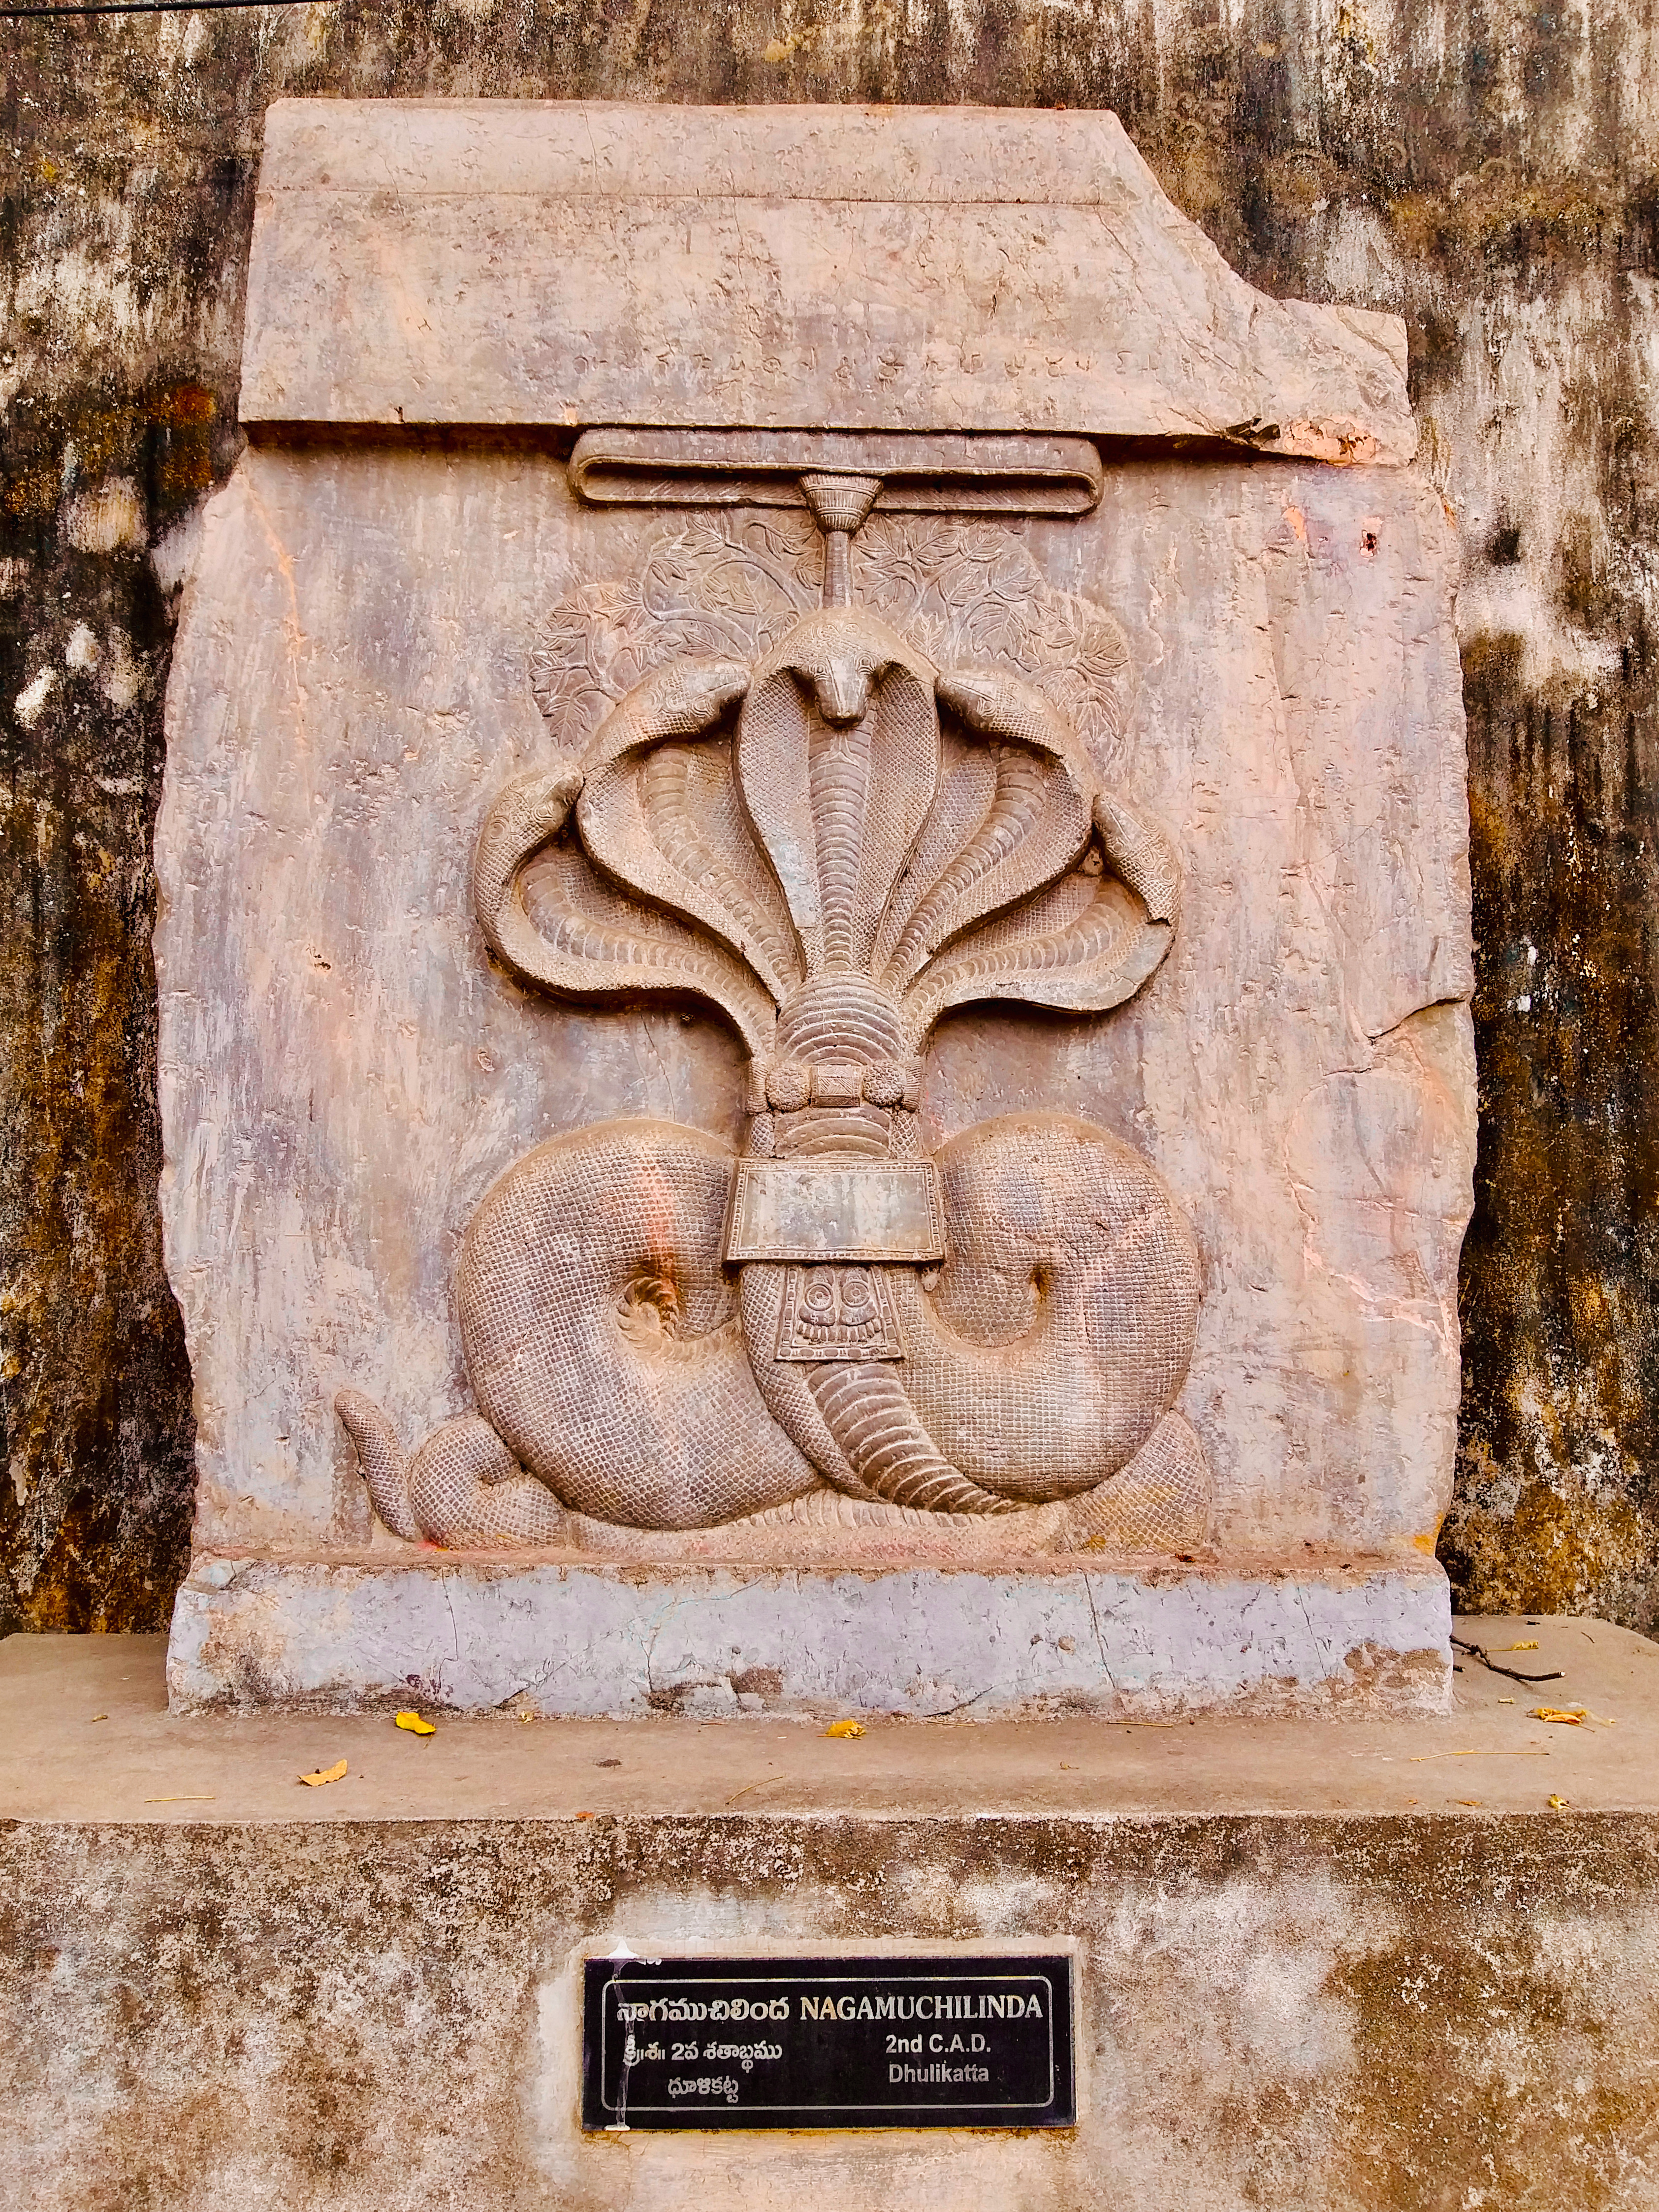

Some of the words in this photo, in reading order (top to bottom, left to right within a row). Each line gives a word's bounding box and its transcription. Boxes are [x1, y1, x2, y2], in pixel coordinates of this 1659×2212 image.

[617, 1993, 794, 2022] నాగముచిలింద
[797, 1993, 1044, 2020] NAGAMUCHILINDA
[622, 2029, 667, 2072] శ్రీ॥శ॥
[668, 2040, 700, 2063] 2వ
[701, 2036, 785, 2075] శతాబ్థము
[884, 2031, 925, 2055] 2nd
[925, 2031, 992, 2055] C.A.D.
[888, 2056, 991, 2085] Dhulikatta
[667, 2073, 741, 2106] ధూళికట్ట